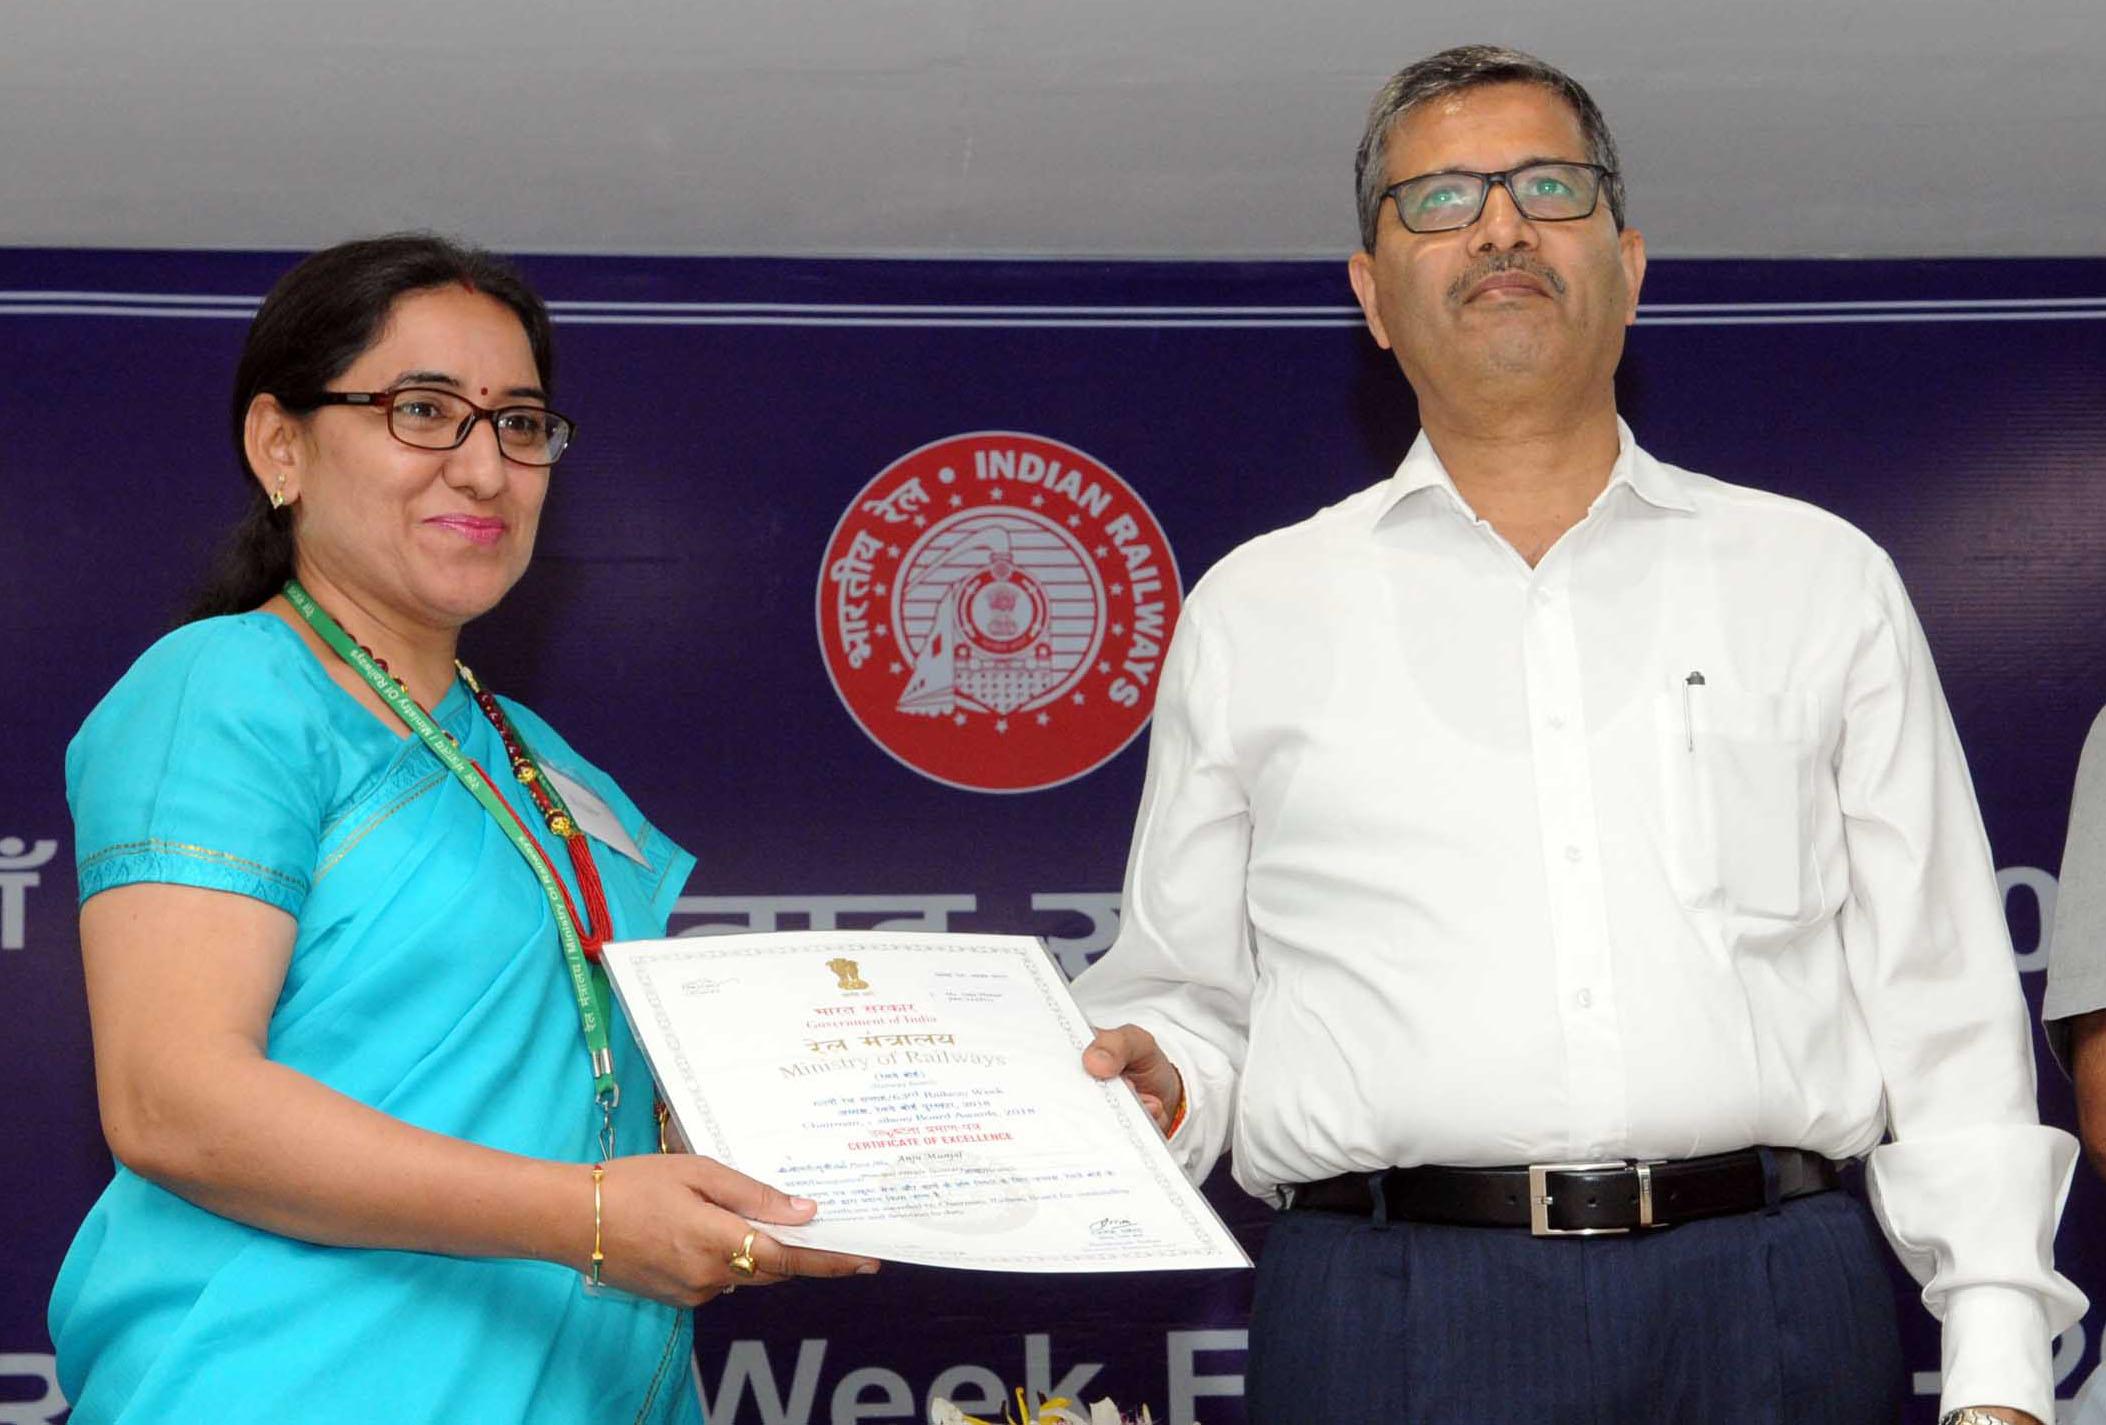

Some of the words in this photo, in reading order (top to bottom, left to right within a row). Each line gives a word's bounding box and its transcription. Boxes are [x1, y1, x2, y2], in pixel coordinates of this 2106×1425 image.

[971, 446, 1115, 521] INDIAN
[857, 475, 934, 529] रेल
[825, 525, 887, 673] भारतीय
[1102, 509, 1168, 713] RAILWAYS
[813, 1003, 859, 1021] भारत
[865, 999, 919, 1018] सरकार
[777, 1051, 871, 1082] Ministry
[801, 1033, 850, 1057] रेलं
[857, 1026, 958, 1051] मंत्रालय
[903, 1047, 1009, 1071] Railways